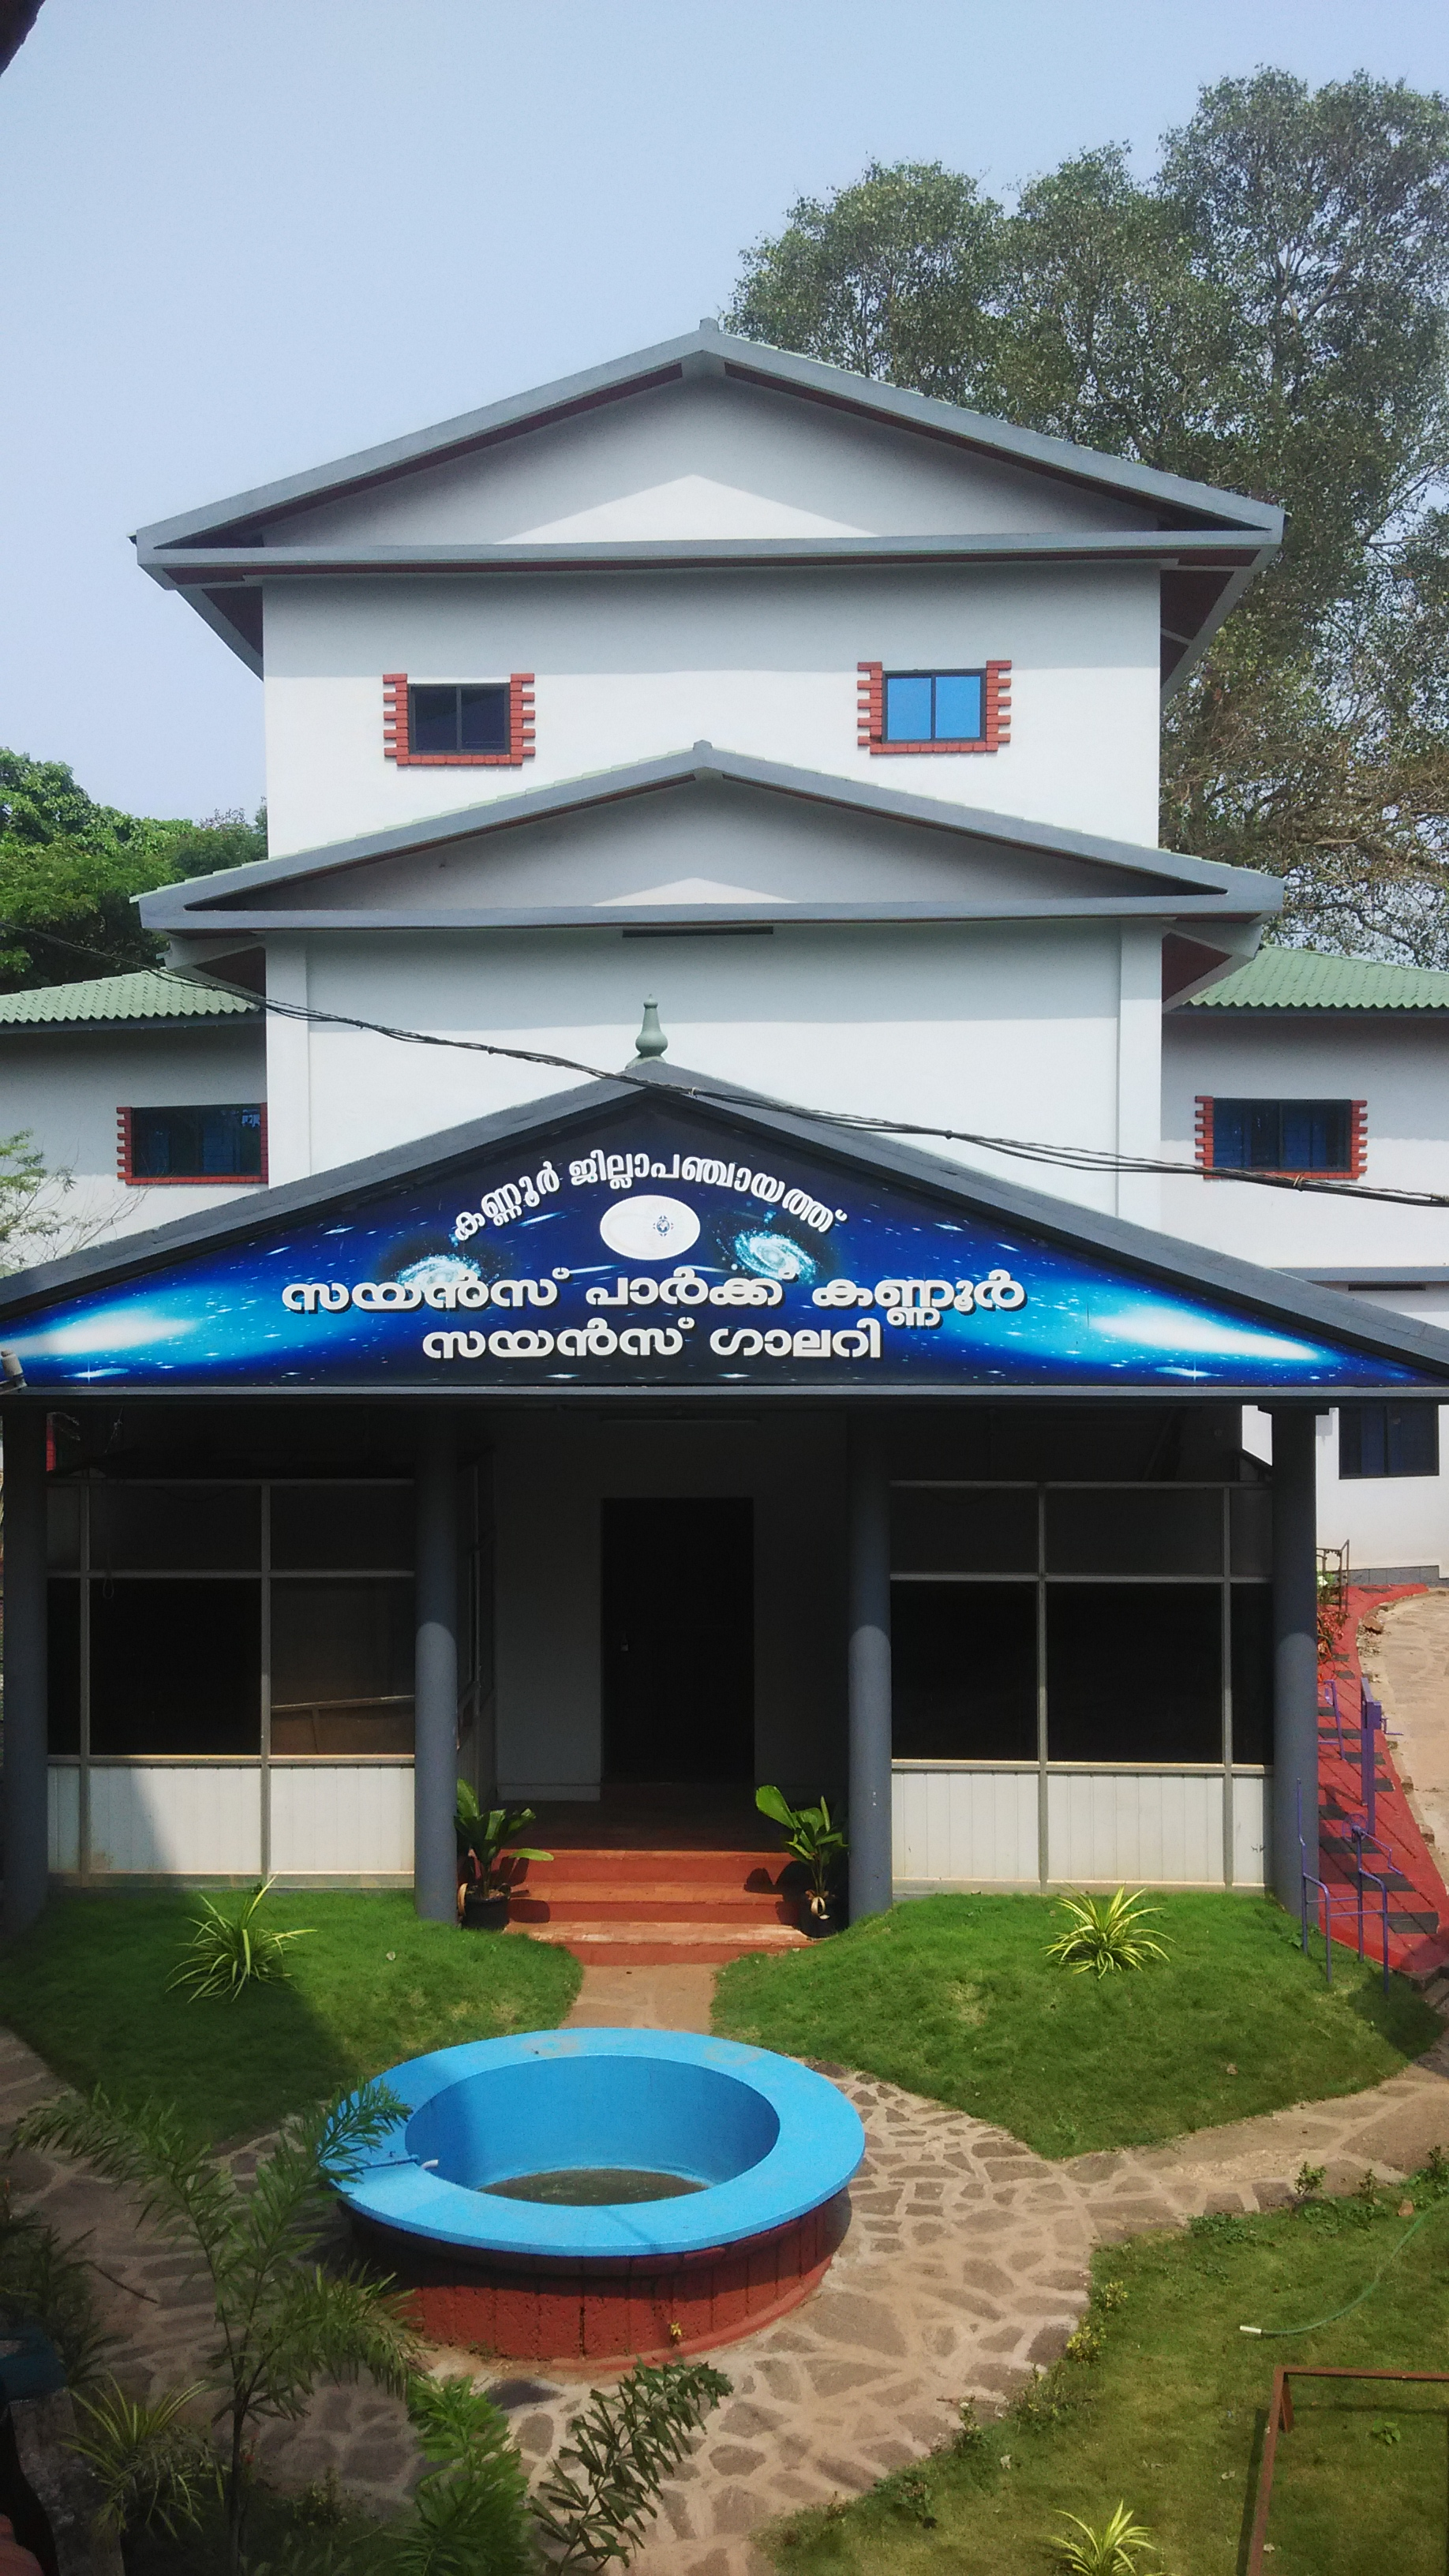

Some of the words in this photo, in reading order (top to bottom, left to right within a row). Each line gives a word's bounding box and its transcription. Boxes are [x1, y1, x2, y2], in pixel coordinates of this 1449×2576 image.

[474, 1151, 566, 1232] ണ്ണൂർ
[567, 1142, 852, 1237] ജില്ലാ‍പഞ്ചായത്ത്
[445, 1202, 490, 1245] ക
[282, 1260, 574, 1315] സയൻസ്
[582, 1256, 800, 1312] പാർക്ക്
[805, 1259, 1032, 1330] കണ്ണൂർ
[422, 1312, 700, 1366] സയൻസ്
[701, 1311, 885, 1361] ഗാലറി